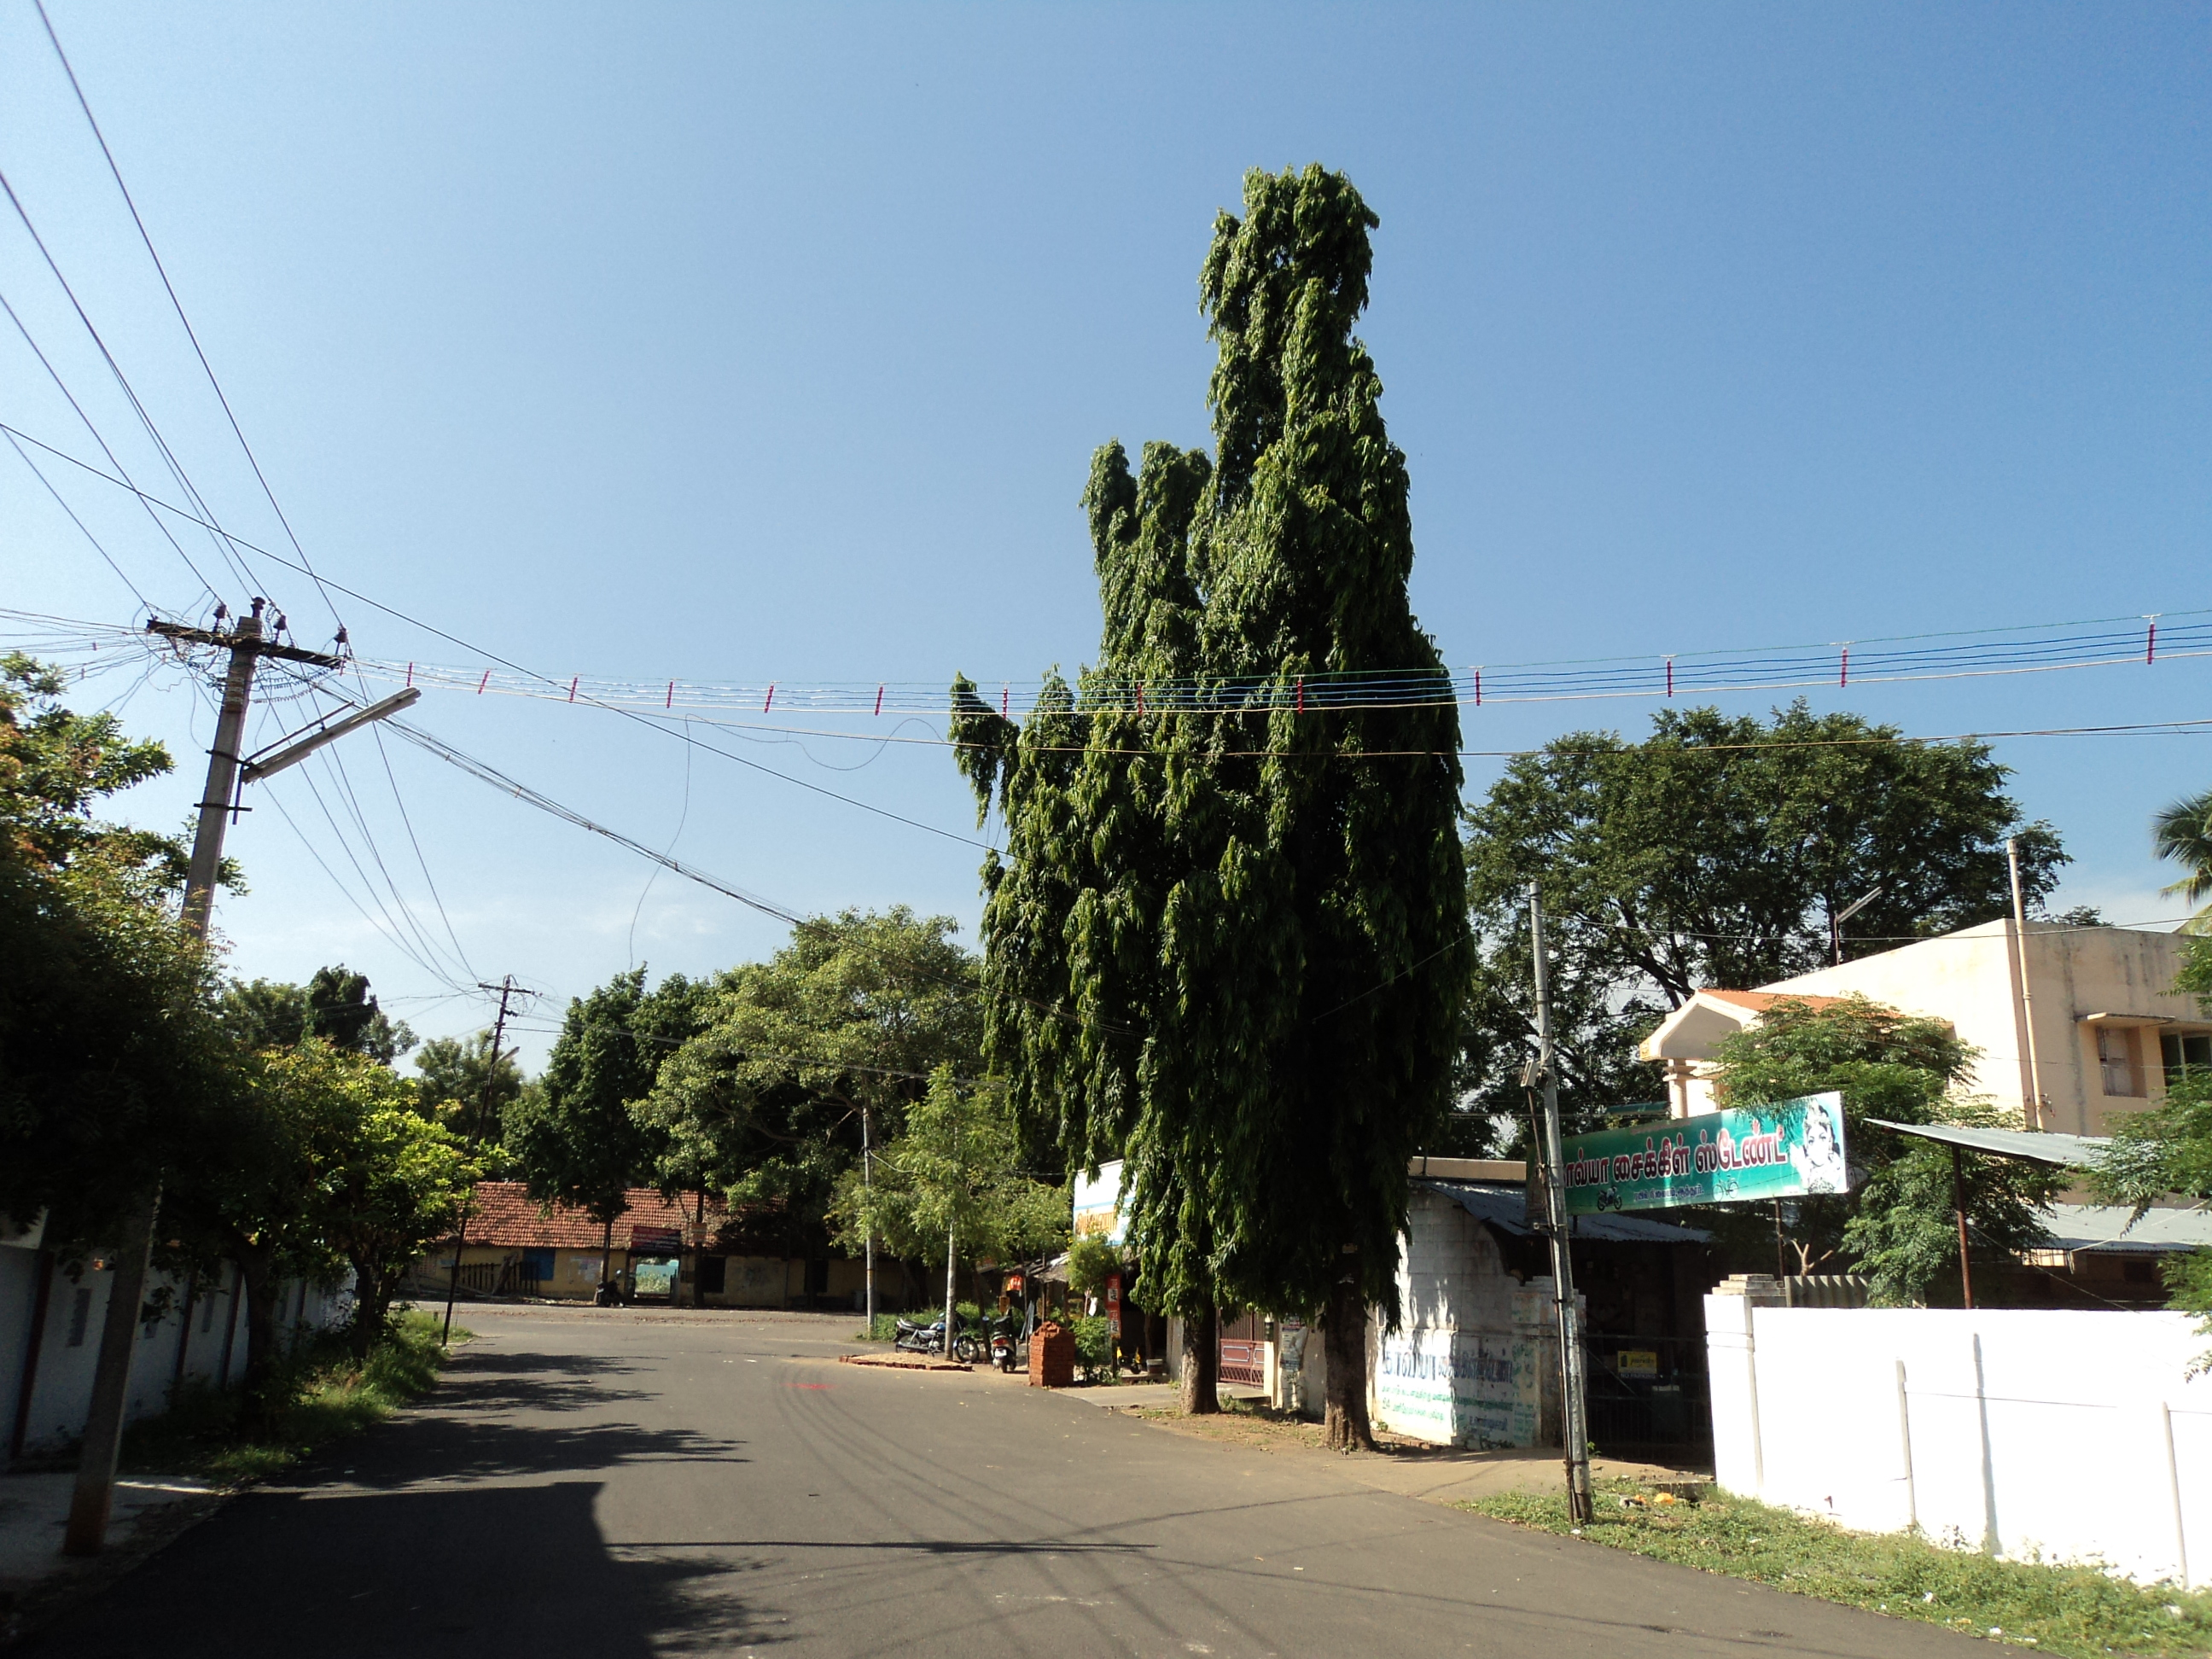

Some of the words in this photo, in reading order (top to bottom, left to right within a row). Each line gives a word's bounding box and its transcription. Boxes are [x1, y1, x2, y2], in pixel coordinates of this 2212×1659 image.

[1610, 1131, 1695, 1185] சைக்கிள்
[1687, 1117, 1789, 1176] ஸ்டேண்ட்